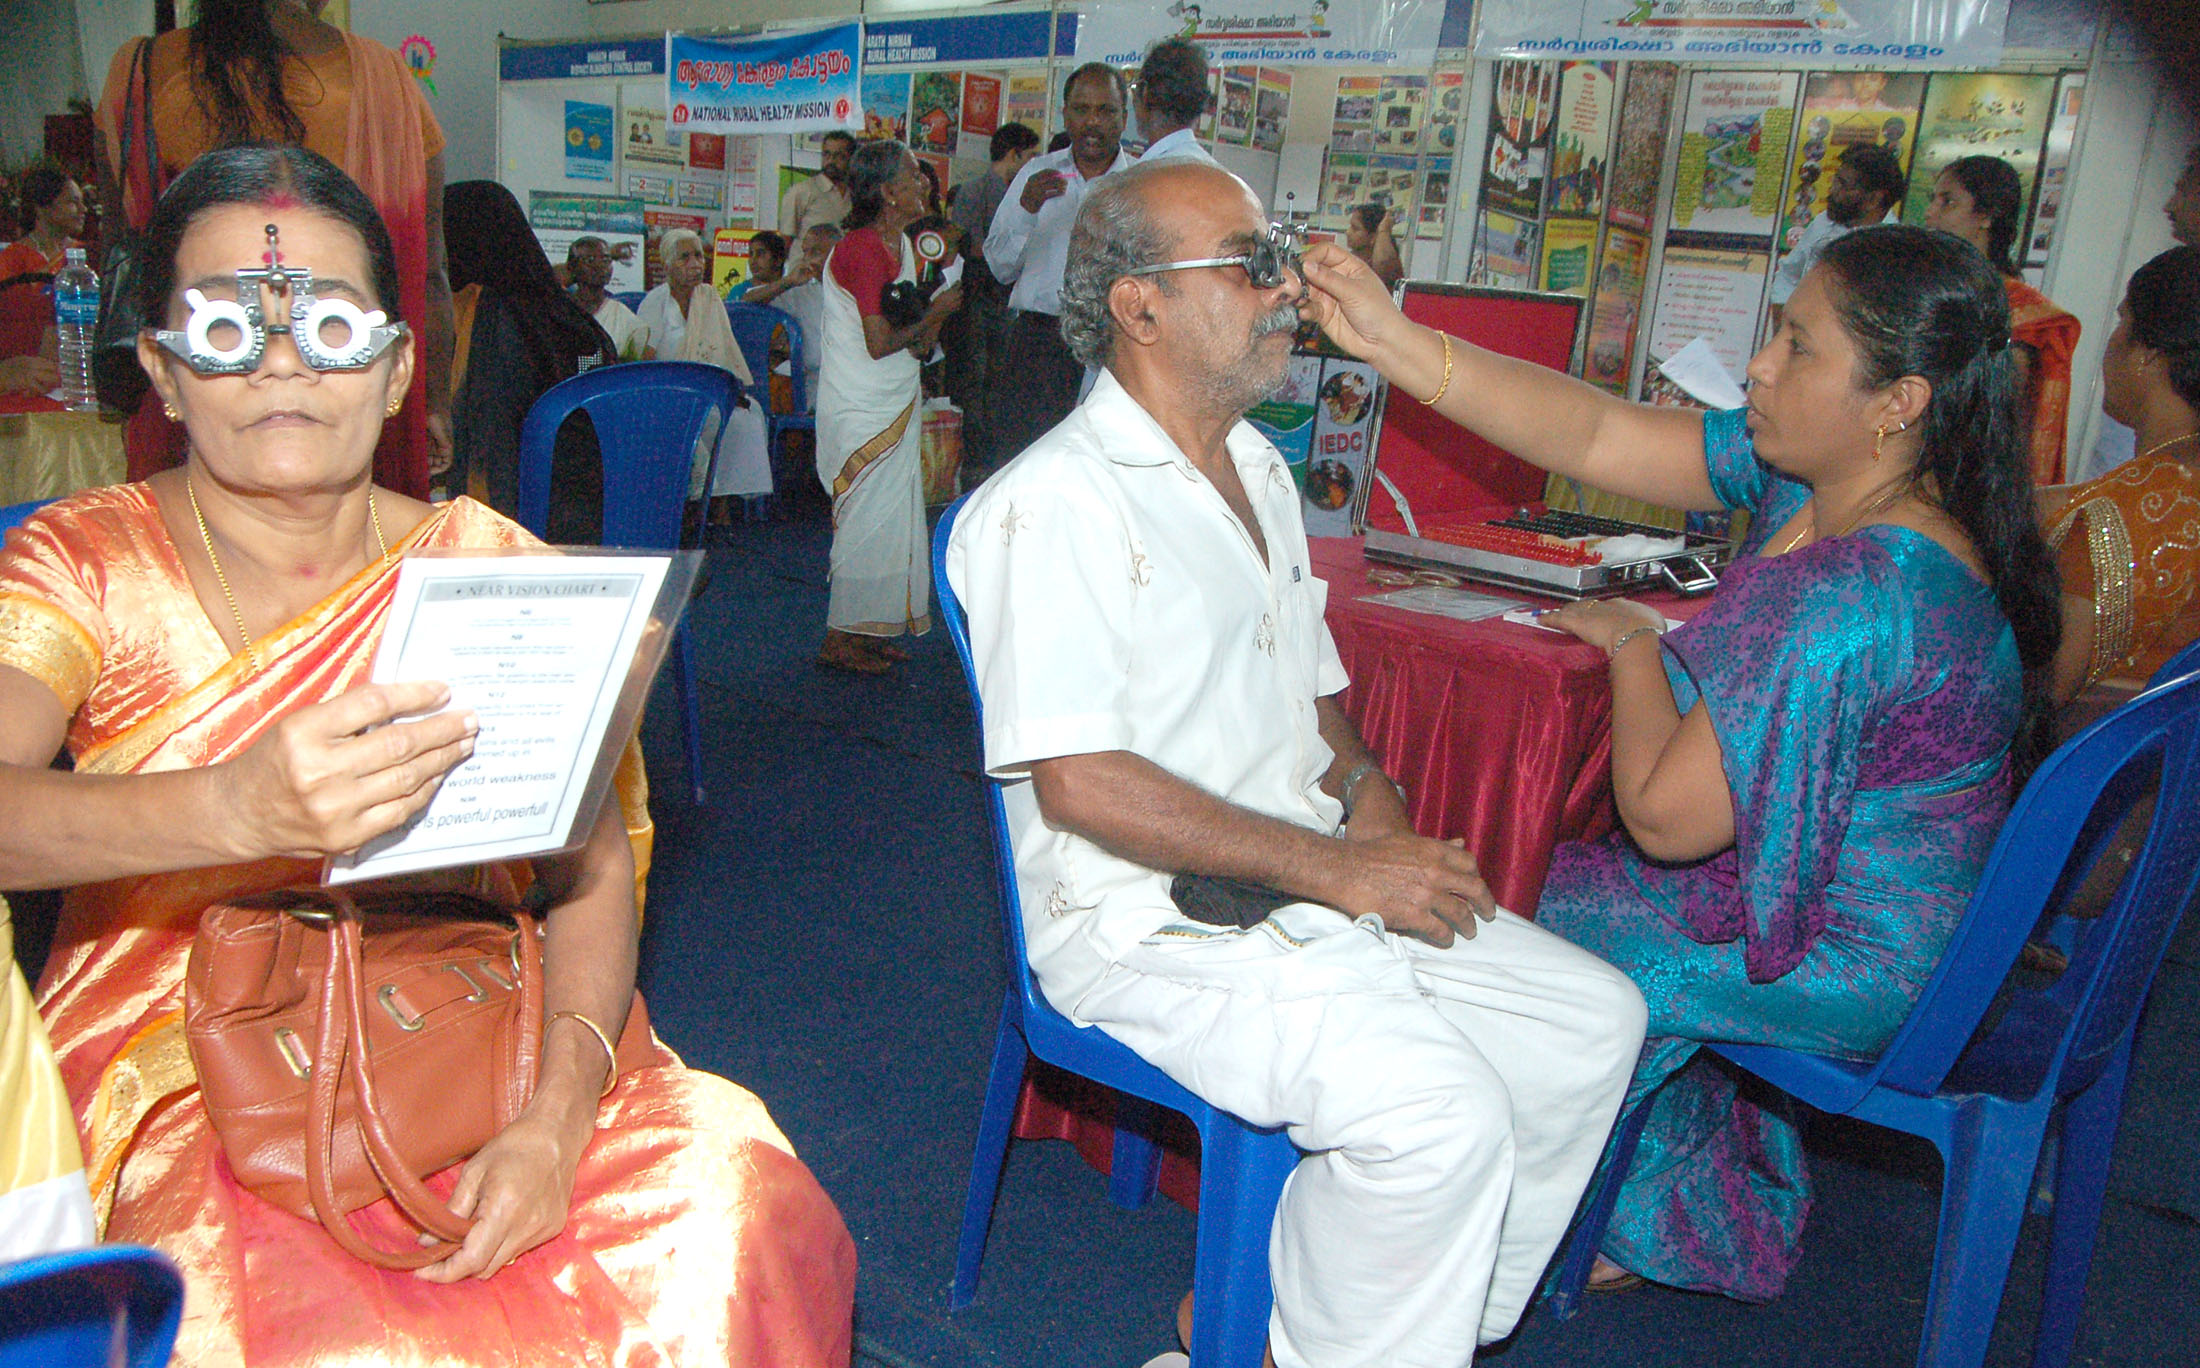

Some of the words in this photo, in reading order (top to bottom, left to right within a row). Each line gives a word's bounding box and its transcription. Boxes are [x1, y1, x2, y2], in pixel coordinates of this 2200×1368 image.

[1199, 7, 1257, 33] സർവ്വശിക്ഷാ
[1251, 5, 1302, 35] അരിയാൻ
[731, 50, 789, 92] കേരളം
[784, 43, 857, 89] കോട്ടയം
[883, 43, 914, 69] HEALTH
[907, 41, 941, 64] MISSION
[1217, 37, 1319, 64] അഭിയാൻ
[1317, 37, 1400, 66] കേരളം
[1510, 26, 1679, 59] സർവ്വശിക്ഷാ
[1681, 29, 1823, 58] അദിയാൻ
[1828, 37, 1943, 64] കേരളം
[685, 101, 733, 127] NATIONAL
[727, 100, 763, 124] RURAL
[757, 100, 797, 125] HEALTH
[790, 97, 836, 121] MISSION